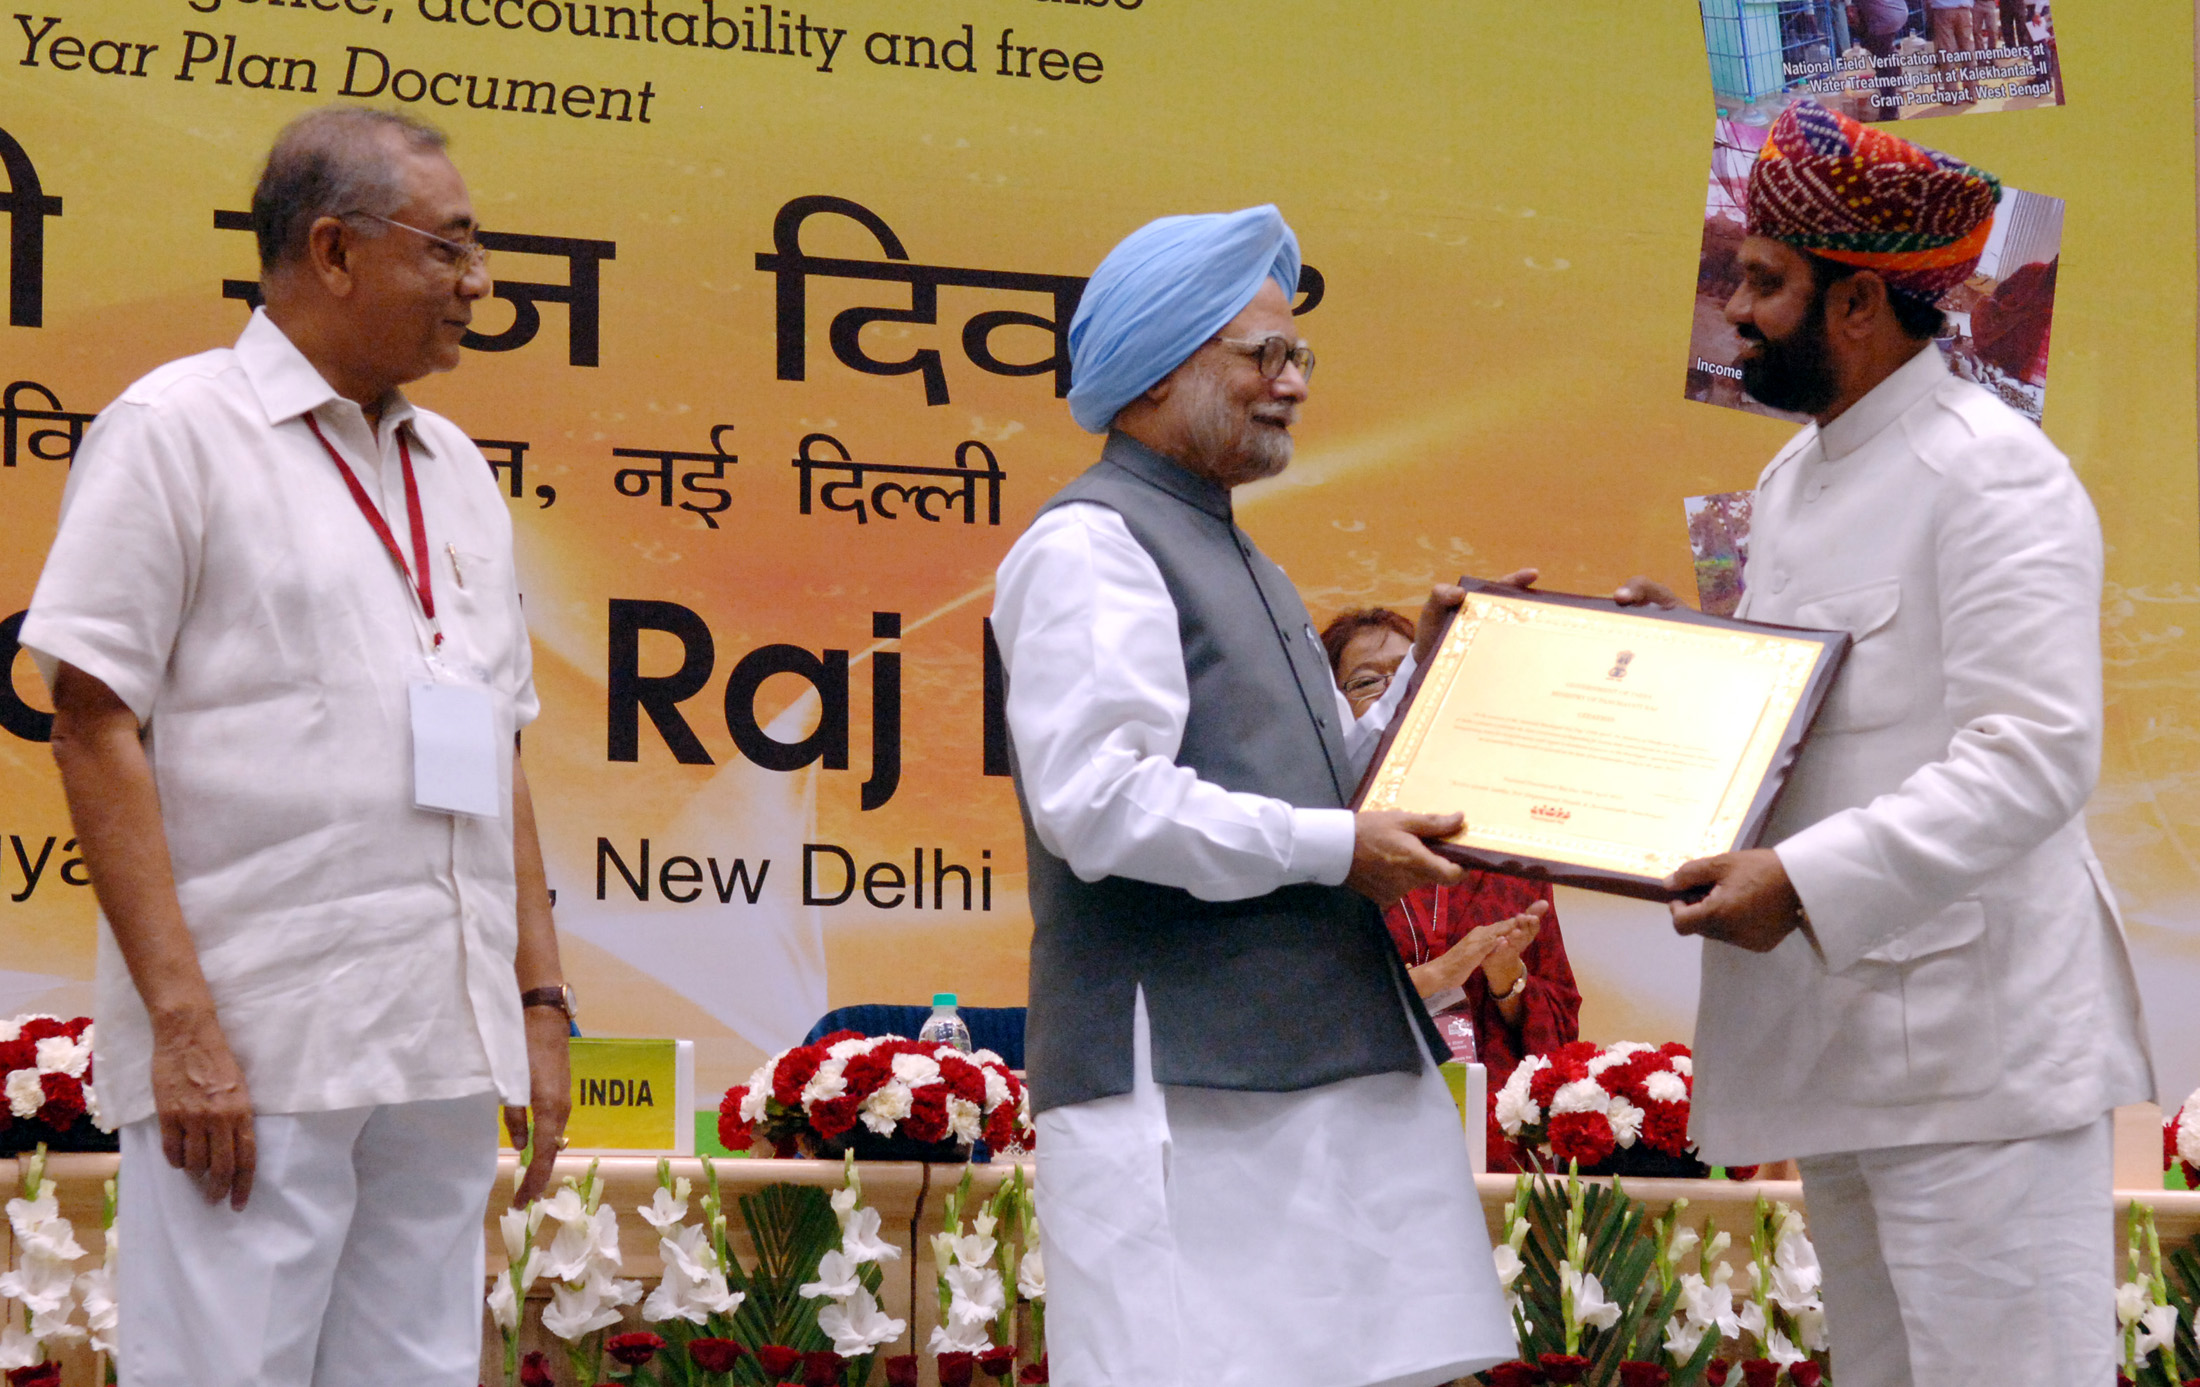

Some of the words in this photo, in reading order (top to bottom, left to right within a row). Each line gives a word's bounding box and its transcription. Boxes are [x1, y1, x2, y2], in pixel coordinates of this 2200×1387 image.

[6, 7, 164, 94] Year
[169, 25, 321, 96] Plan
[334, 44, 662, 126] Document
[859, 19, 981, 79] and
[987, 19, 1116, 92] free
[608, 413, 742, 535] नई
[784, 424, 1015, 535] दिल्ली
[589, 575, 927, 818] Raj
[583, 829, 771, 910] New
[798, 835, 1006, 917] Delhi
[574, 1072, 656, 1112] INDIA